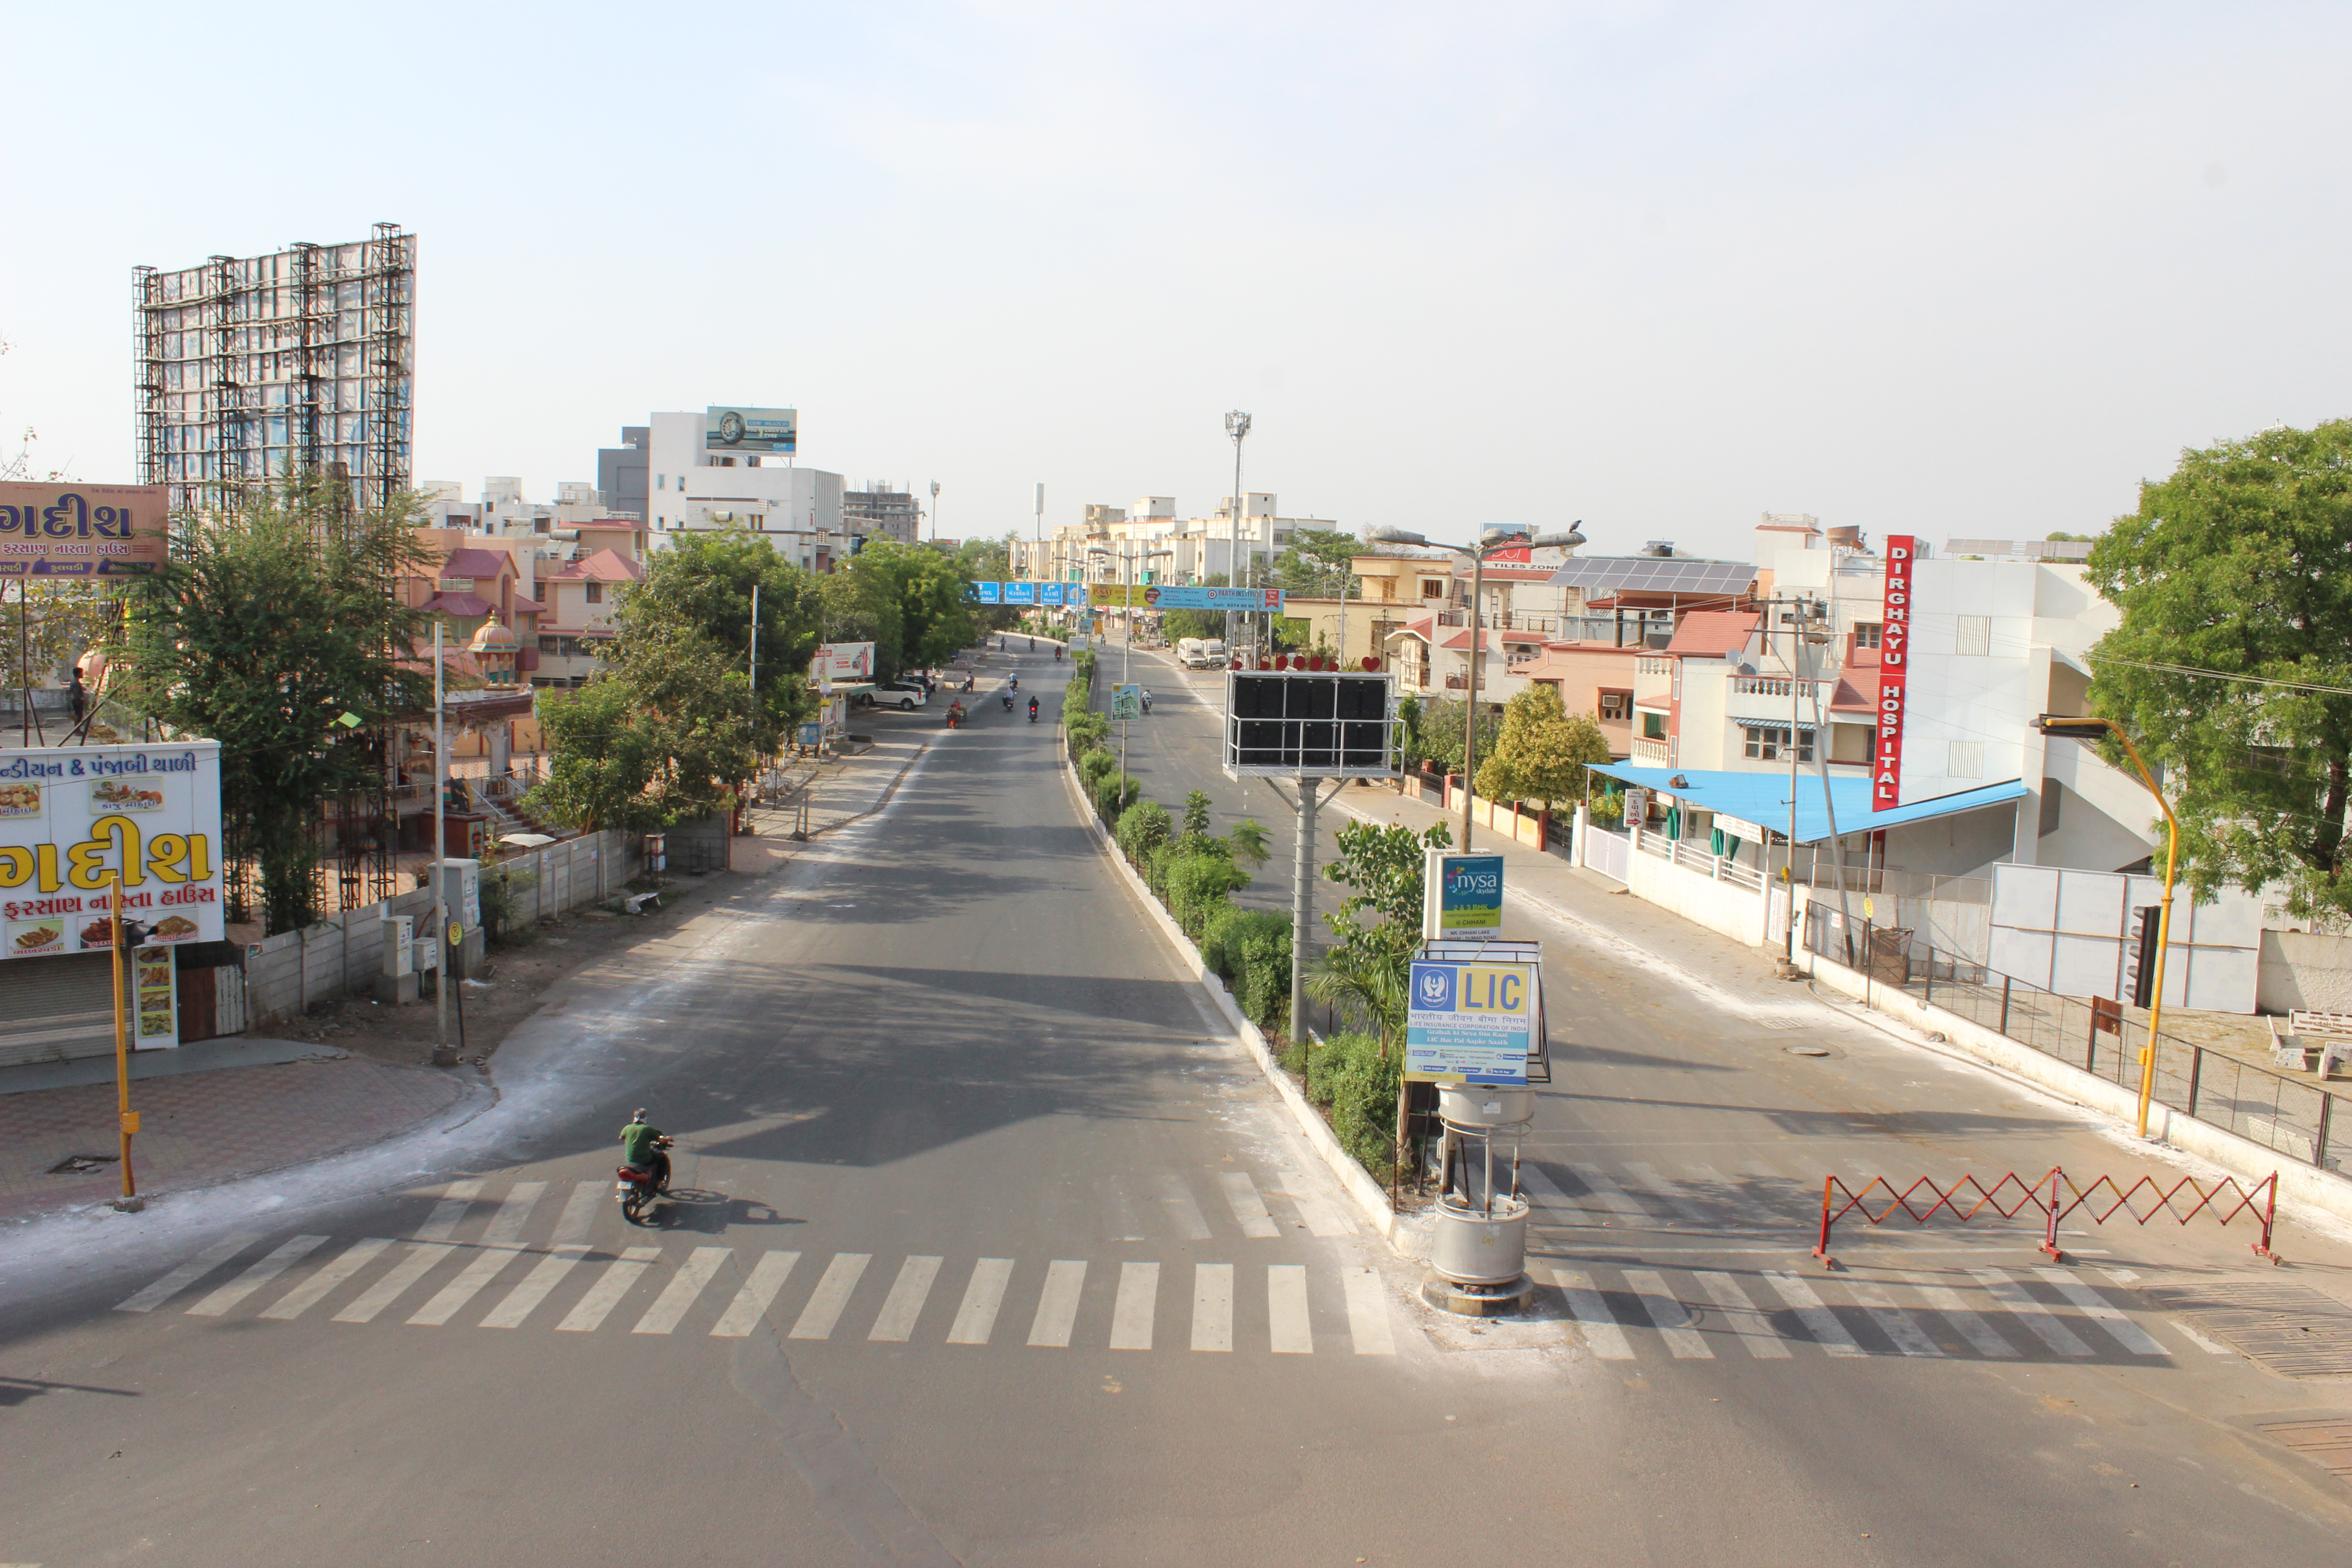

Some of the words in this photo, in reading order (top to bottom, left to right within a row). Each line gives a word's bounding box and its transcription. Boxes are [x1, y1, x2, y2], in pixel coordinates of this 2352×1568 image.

[0, 490, 135, 540] ગદીશ
[2, 544, 49, 555] ફરસાણ
[53, 544, 90, 557] નાસ્તા
[95, 541, 130, 556] હાઉસ
[0, 561, 23, 573] રવડી
[49, 561, 84, 573] ફુલવડી
[1491, 563, 1526, 569] TILES
[1528, 564, 1562, 571] ZONE
[1218, 589, 1235, 597] PARTH
[1236, 590, 1264, 598] INSTITUTE
[1883, 544, 1907, 666] DIRGHAYU
[1877, 684, 1901, 800] HOSPITAL
[0, 756, 65, 779] ન્ડીયન
[70, 758, 85, 775] &
[89, 751, 149, 775] પંજાબી
[152, 752, 198, 772] થાળી
[1628, 798, 1640, 818] દવાઓ
[0, 814, 215, 895] ગદ્દીશ
[1453, 874, 1497, 893] nysa
[159, 882, 216, 906] હાઉસ
[2, 897, 84, 921] ફરસાણ
[120, 892, 153, 909] સ્તા
[1471, 903, 1490, 910] BHK
[1460, 919, 1486, 926] CHHANI
[1462, 971, 1521, 1011] LIC
[1410, 1020, 1422, 1026] LIFE
[1410, 1010, 1443, 1021] भारतीय
[1422, 1020, 1458, 1028] INSURANCE
[1446, 1013, 1473, 1022] जीवन
[1458, 1023, 1500, 1030] CORPORATION
[1479, 1013, 1498, 1023] बीमा
[1500, 1025, 1509, 1031] OF
[1501, 1014, 1527, 1025] निगम
[1509, 1026, 1527, 1032] INDIA